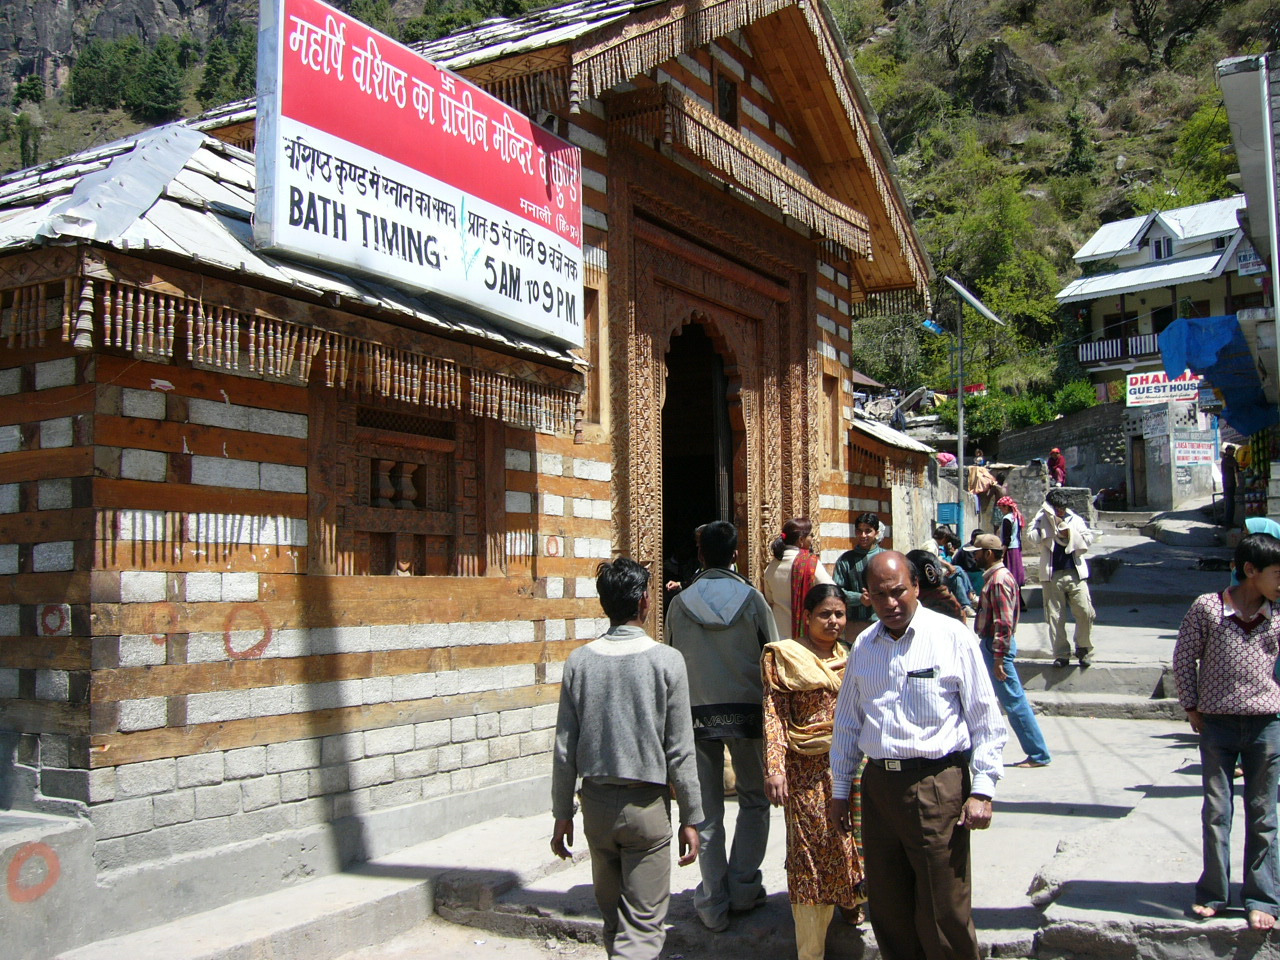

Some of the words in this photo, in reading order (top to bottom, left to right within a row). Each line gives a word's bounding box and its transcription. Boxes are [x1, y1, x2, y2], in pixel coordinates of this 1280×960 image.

[285, 9, 350, 84] महर्षि
[347, 37, 415, 112] वशिष्ठ
[280, 129, 340, 190] वशिष्ठ
[287, 178, 353, 246] BATH
[331, 151, 378, 202] कुण्ड
[363, 162, 387, 201] में
[377, 173, 420, 215] य्नान
[355, 203, 446, 277] TIMING
[409, 72, 438, 129] का
[412, 185, 435, 221] का
[427, 191, 461, 232] समय
[436, 86, 492, 158] प्राचीन
[462, 206, 490, 248] प्रान:
[485, 215, 505, 251] 5
[480, 252, 526, 305] 5AM.
[497, 216, 518, 253] से
[487, 109, 537, 178] मन्दिर
[510, 222, 541, 260] रात्रि
[518, 192, 558, 230] मनाली
[533, 141, 552, 190] व
[534, 236, 553, 268] 9
[545, 237, 568, 276] बजे
[540, 276, 580, 328] 9PM.
[545, 150, 584, 215] कुण्ड
[560, 251, 584, 286] तक
[1123, 381, 1171, 399] GUEST